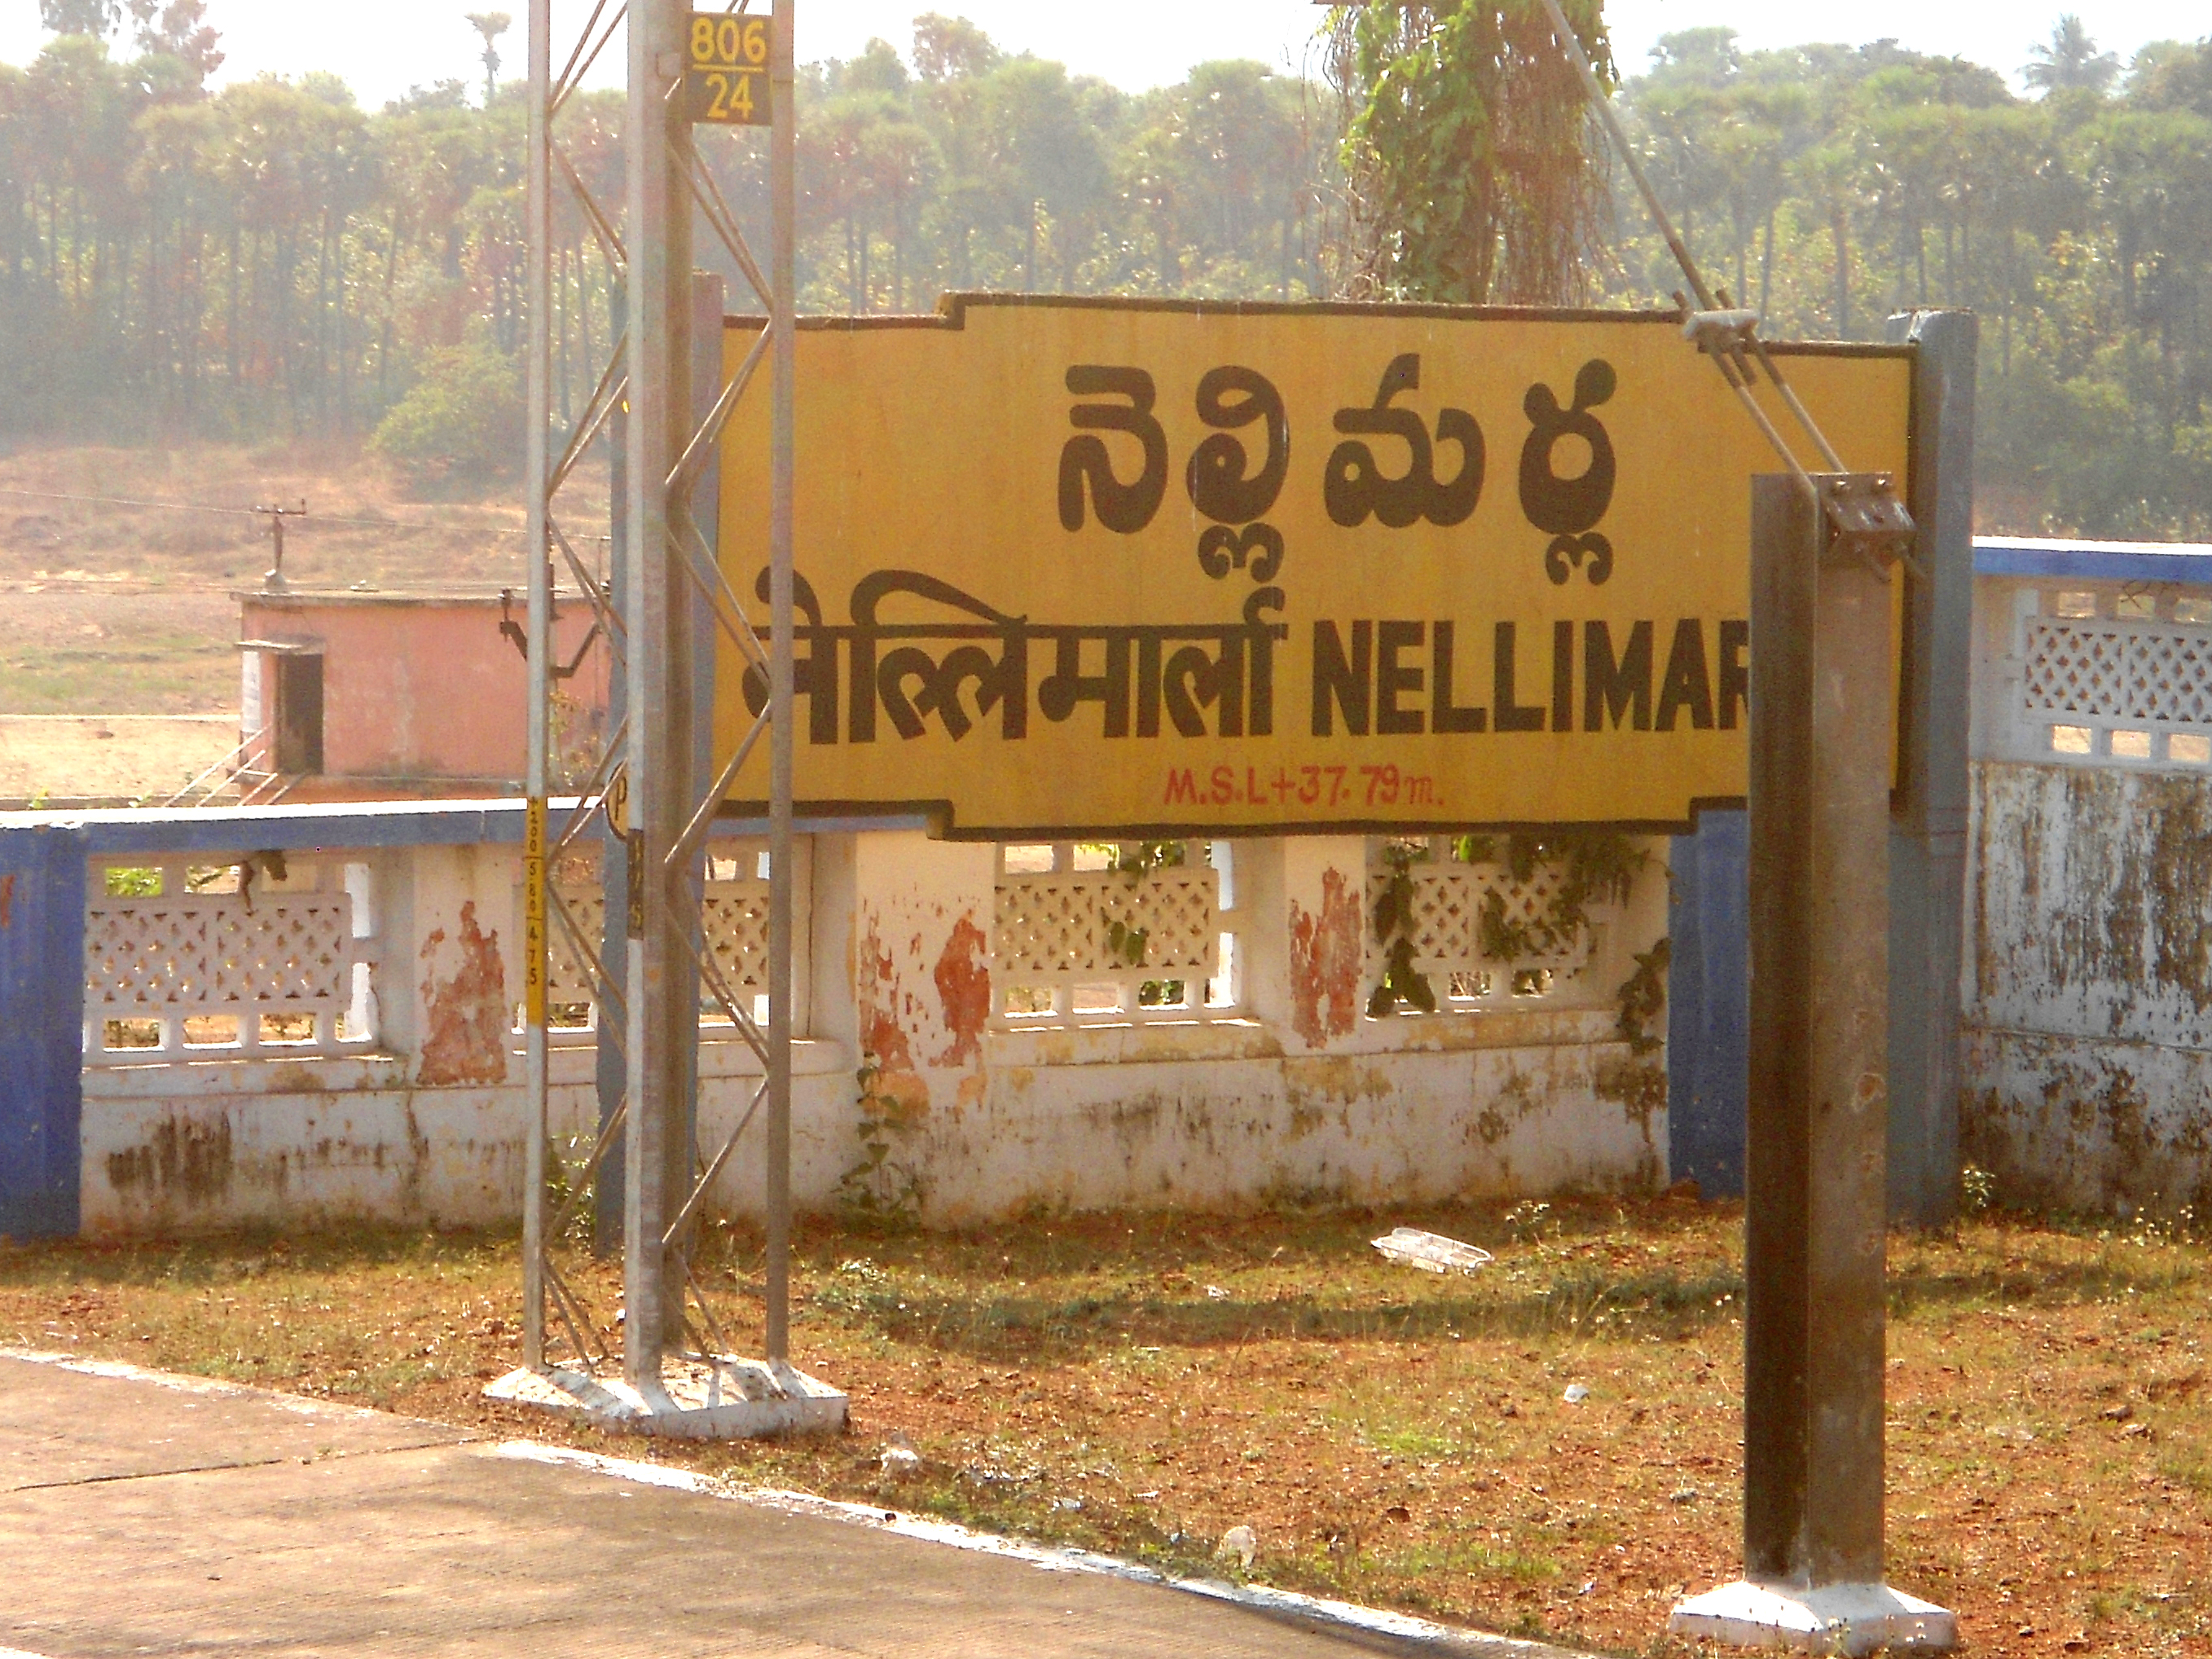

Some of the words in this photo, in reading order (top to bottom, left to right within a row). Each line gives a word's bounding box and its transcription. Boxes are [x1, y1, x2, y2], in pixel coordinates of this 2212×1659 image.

[1048, 343, 1632, 592] నెల్లిమర్ల
[731, 556, 1300, 745] नेल्लिमाली
[1308, 610, 1773, 744] NELLIMAR
[1158, 760, 1453, 818] M.S.L+37.79m